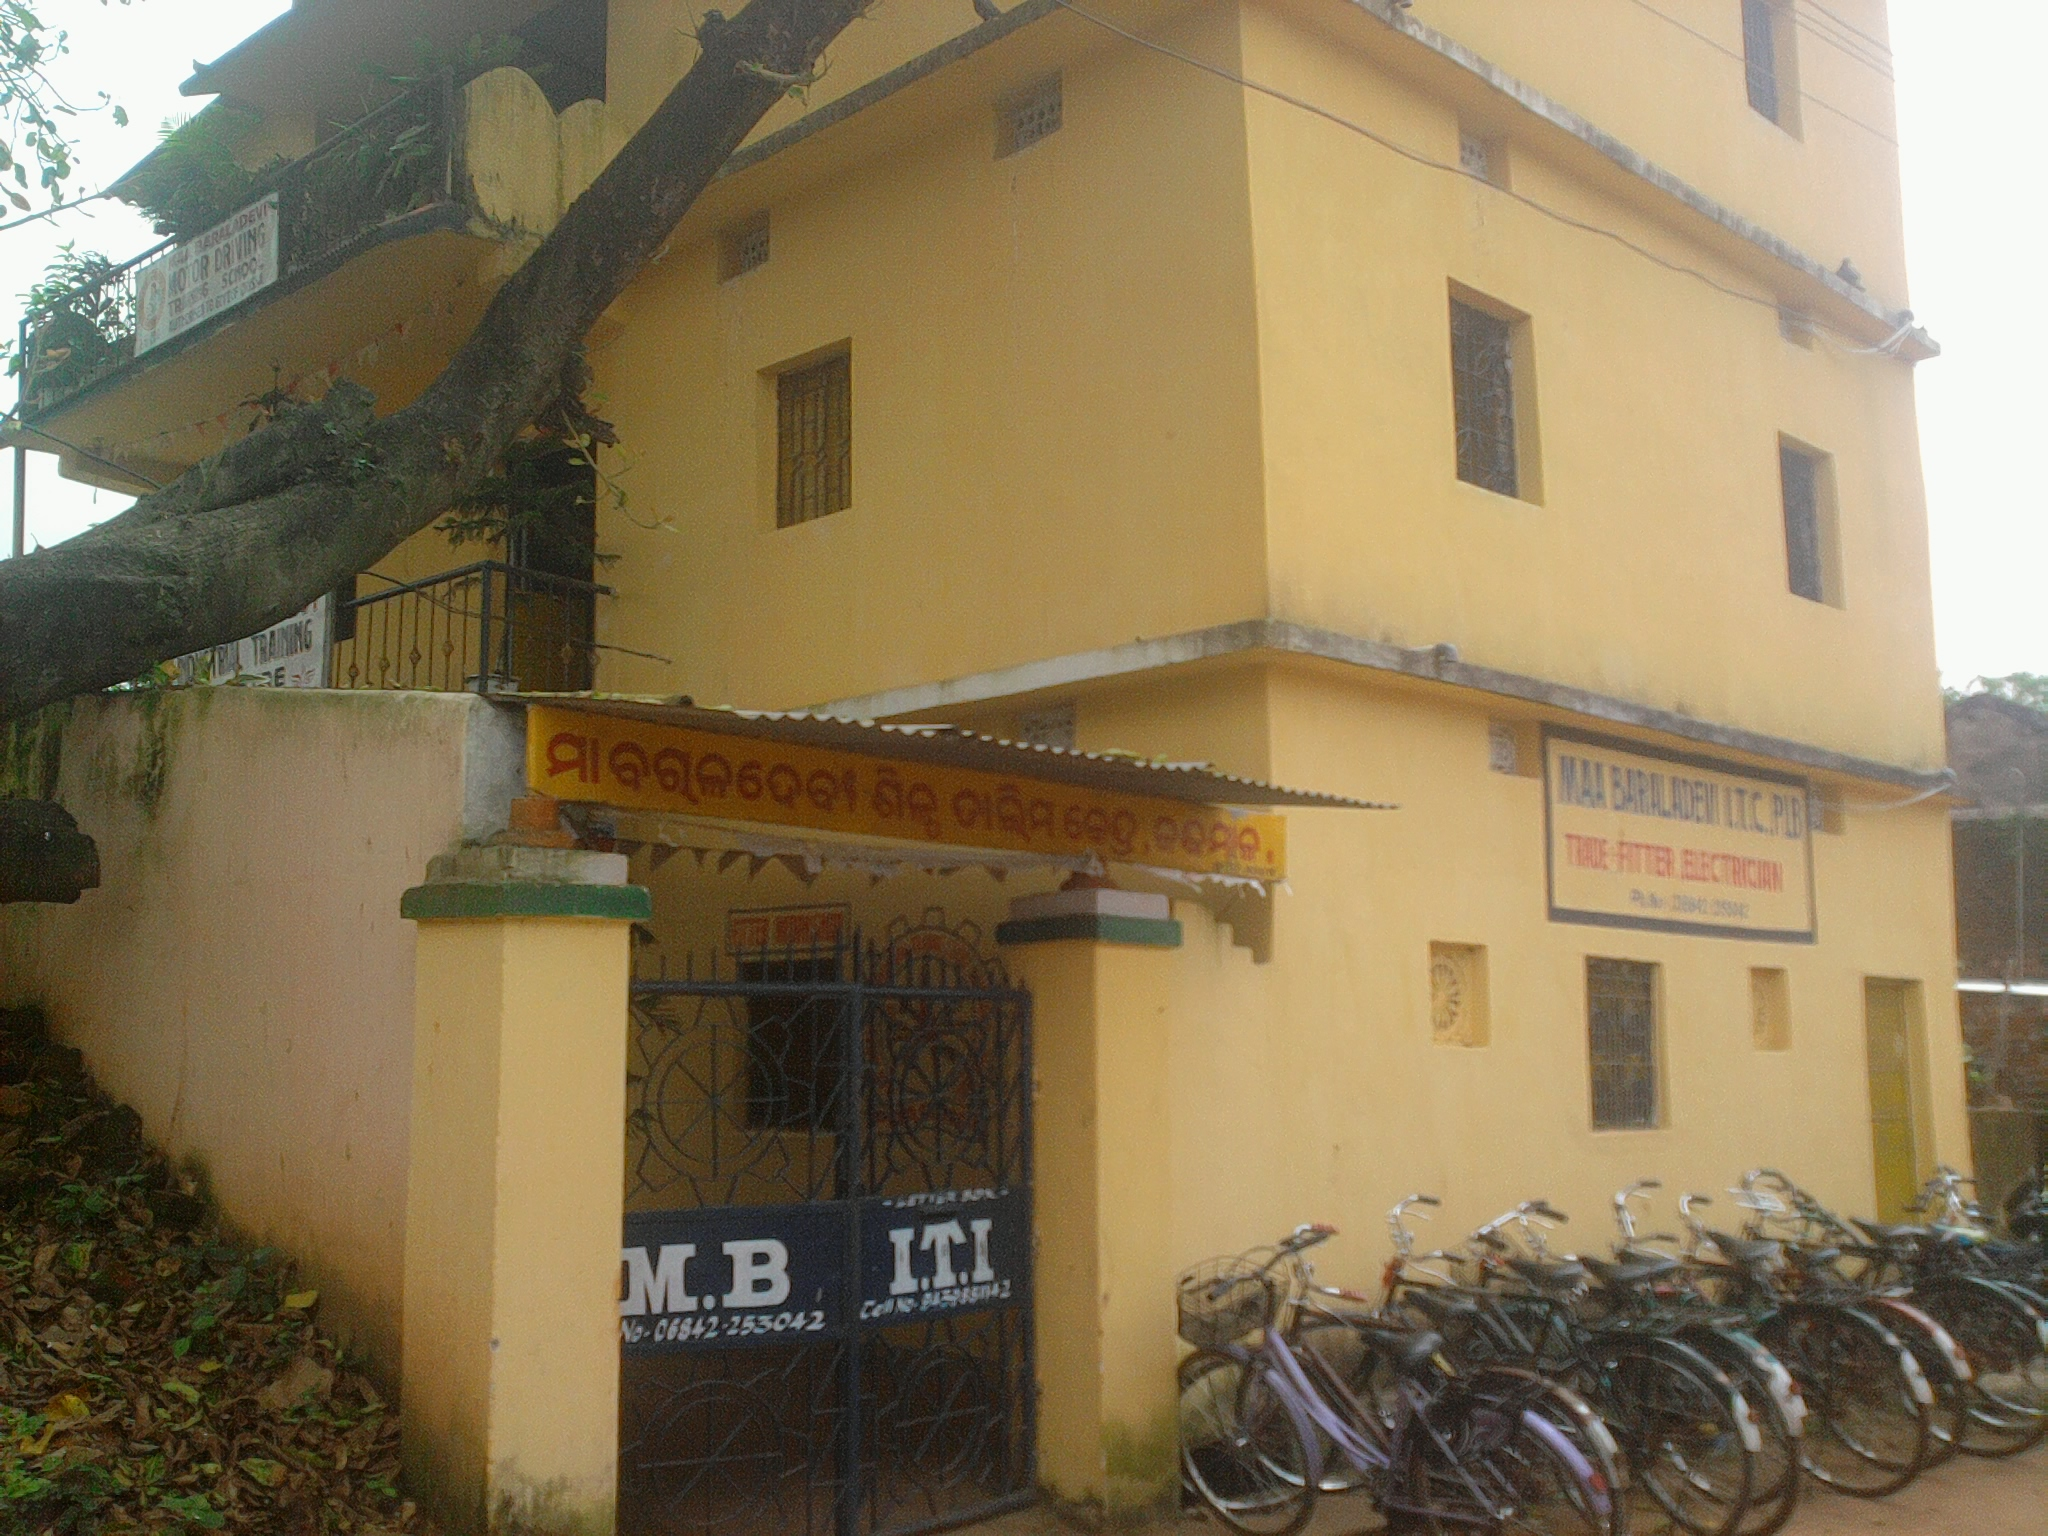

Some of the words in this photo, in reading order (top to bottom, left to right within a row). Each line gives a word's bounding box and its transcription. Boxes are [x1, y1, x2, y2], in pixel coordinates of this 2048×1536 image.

[539, 727, 863, 818] ମାବରଳରେବା
[944, 773, 1146, 863] ତାଲିମ ତେତ୍ର
[1547, 745, 1615, 813] MAA
[1561, 829, 1613, 872] TRADE
[1611, 835, 1681, 880] FITTER
[1605, 759, 1729, 828] BARALADEVI
[1677, 842, 1789, 897] ELECTRICIAN
[1719, 778, 1807, 845] I.T.C.PLB
[610, 1230, 799, 1328] M.B
[877, 1210, 1005, 1300] I.T.I
[611, 1307, 830, 1351] No.06842-253042